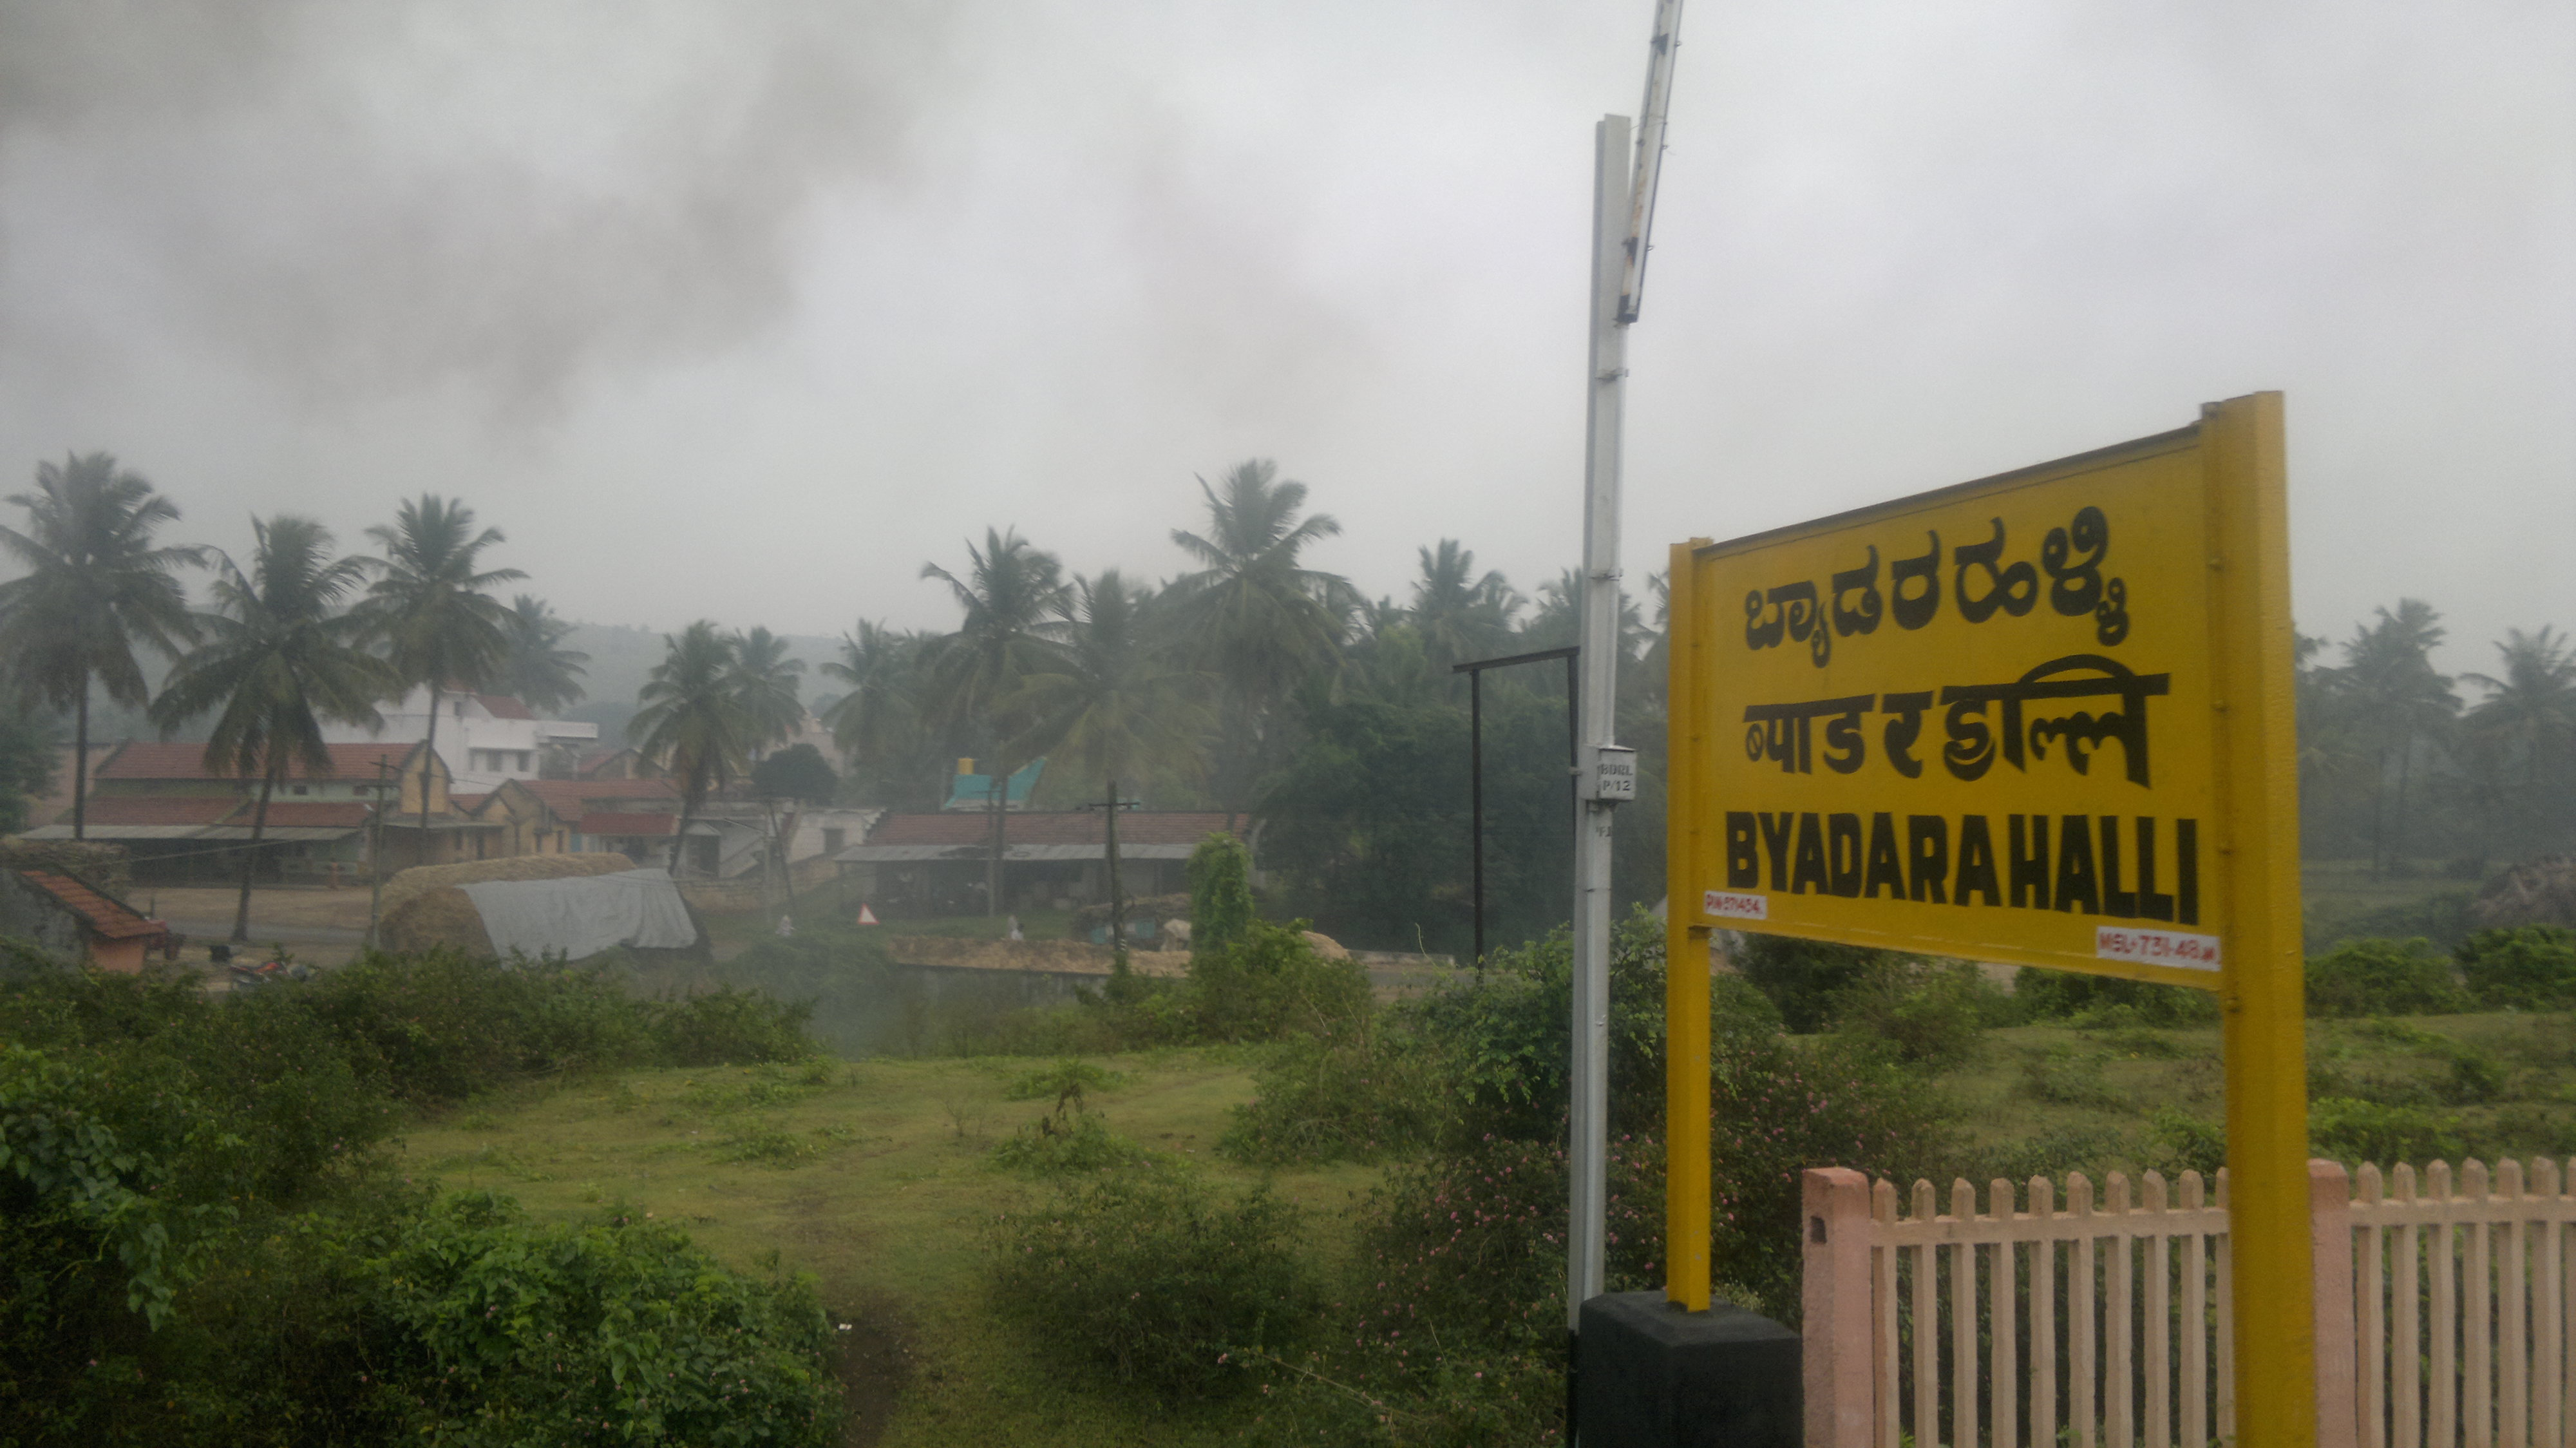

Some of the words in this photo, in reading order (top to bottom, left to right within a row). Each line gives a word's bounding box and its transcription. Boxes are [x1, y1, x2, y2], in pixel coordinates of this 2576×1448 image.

[1740, 501, 2133, 675] ಬ್ಯಾಡರ ಹಳ್ಳಿ
[1741, 650, 2172, 789] ब्याड र ह​ल्लि
[1723, 808, 2200, 929] BYADARAHALLI
[2093, 926, 2212, 964] MEL-731-48M